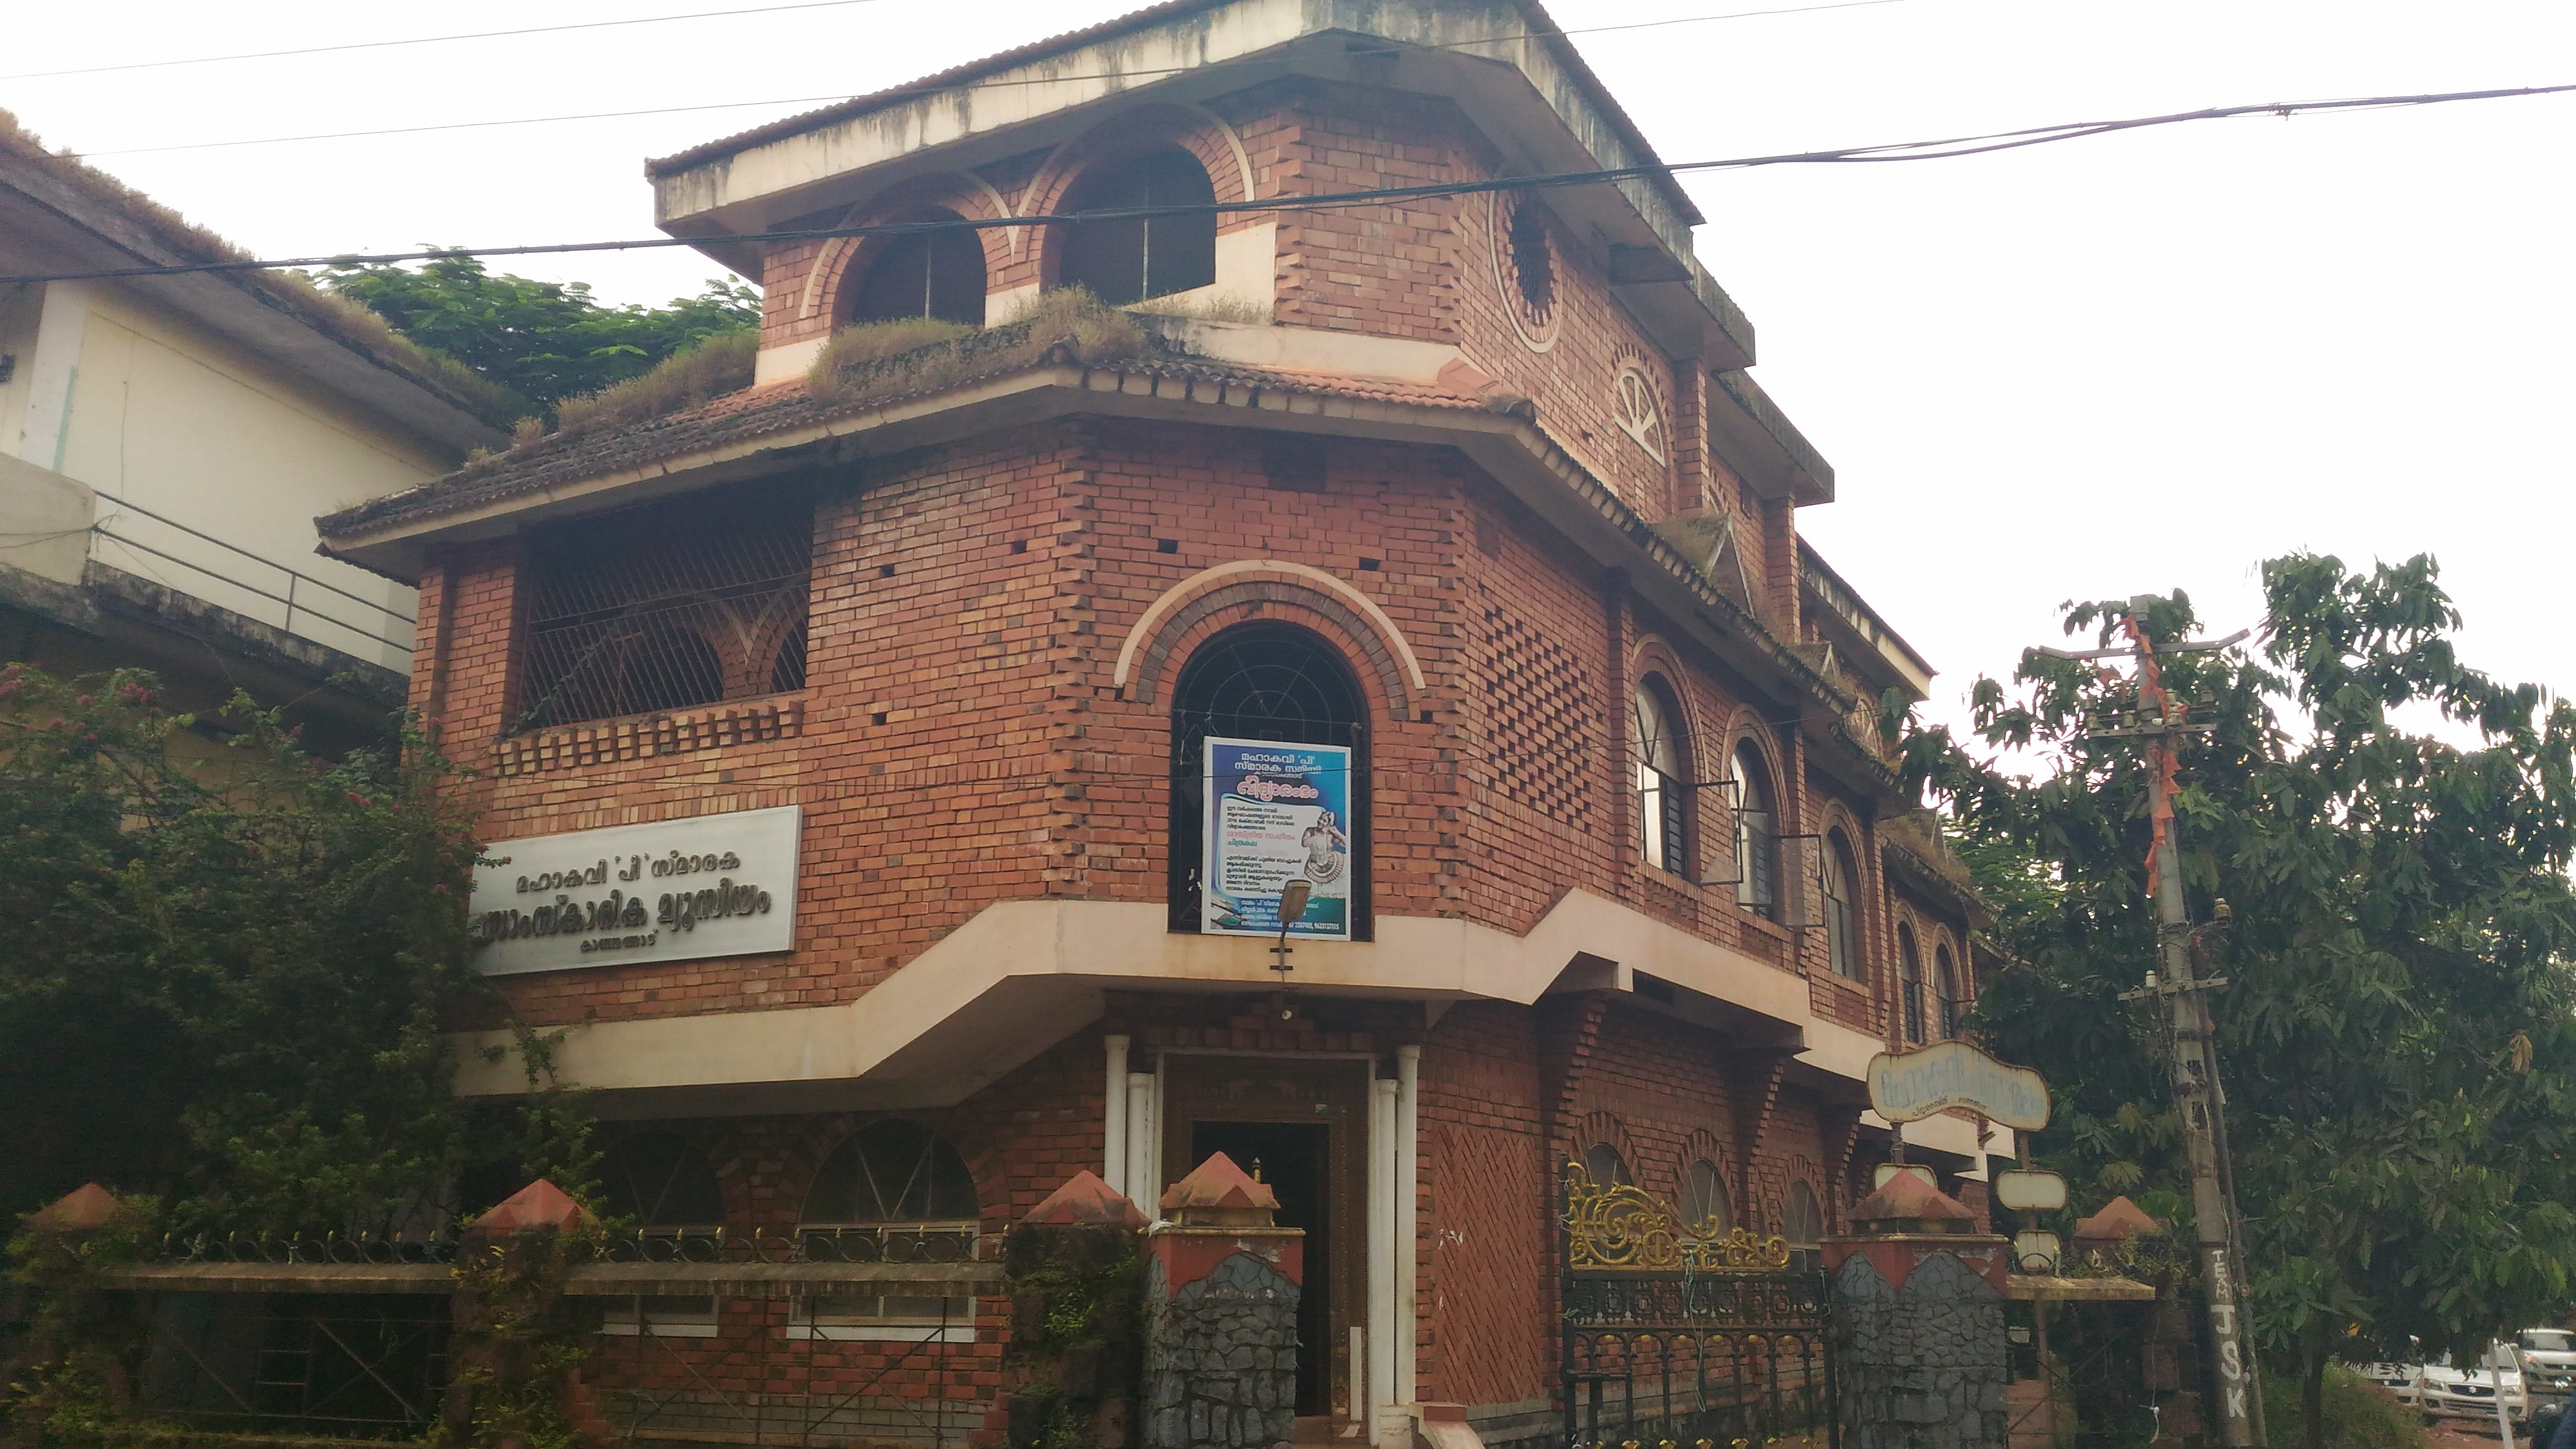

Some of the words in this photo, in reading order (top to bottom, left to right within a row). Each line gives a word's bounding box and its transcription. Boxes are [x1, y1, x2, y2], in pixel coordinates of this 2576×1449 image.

[1230, 755, 1284, 775] സ്‌മാരക
[1237, 745, 1315, 767] മഹാകവി 'പി'
[1235, 770, 1323, 806] വിഭൃാരംഭം
[1261, 829, 1298, 843] സംഗീതം
[515, 847, 651, 894] മഹാകവി'പി'
[648, 842, 743, 879] സ്മാരക
[1256, 853, 1279, 866] പുതിയ
[468, 884, 651, 953] സാംസ്‌കാരിക
[652, 872, 772, 935] മ്യൂസിയം
[1872, 1044, 2048, 1128] മഹാകവി 'പി' സ഼മാരക